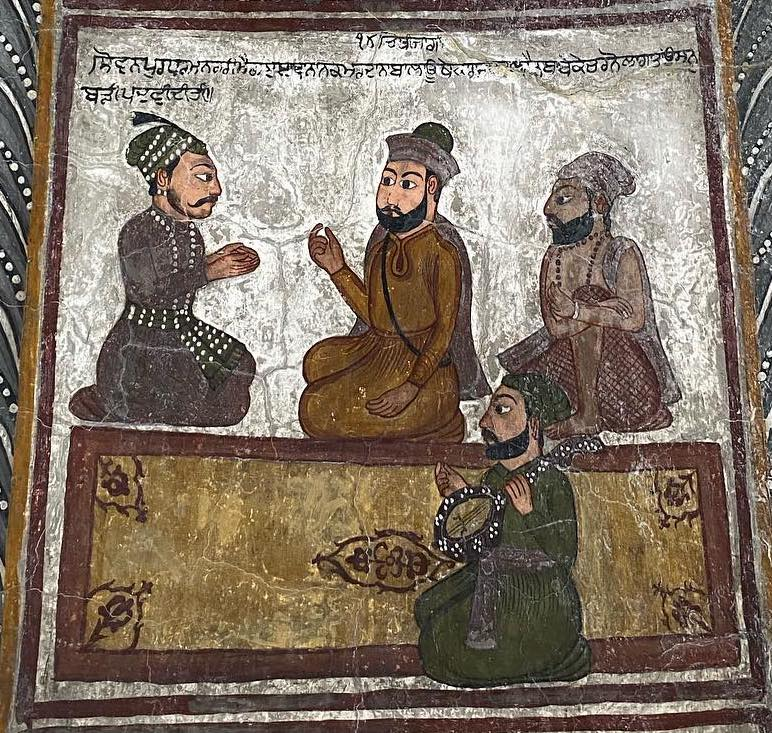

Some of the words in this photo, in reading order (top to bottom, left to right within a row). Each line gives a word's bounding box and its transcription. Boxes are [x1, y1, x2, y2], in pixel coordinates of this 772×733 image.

[71, 79, 219, 112] ਬਤੀਪਦਵੀਦੀਤੀ॥